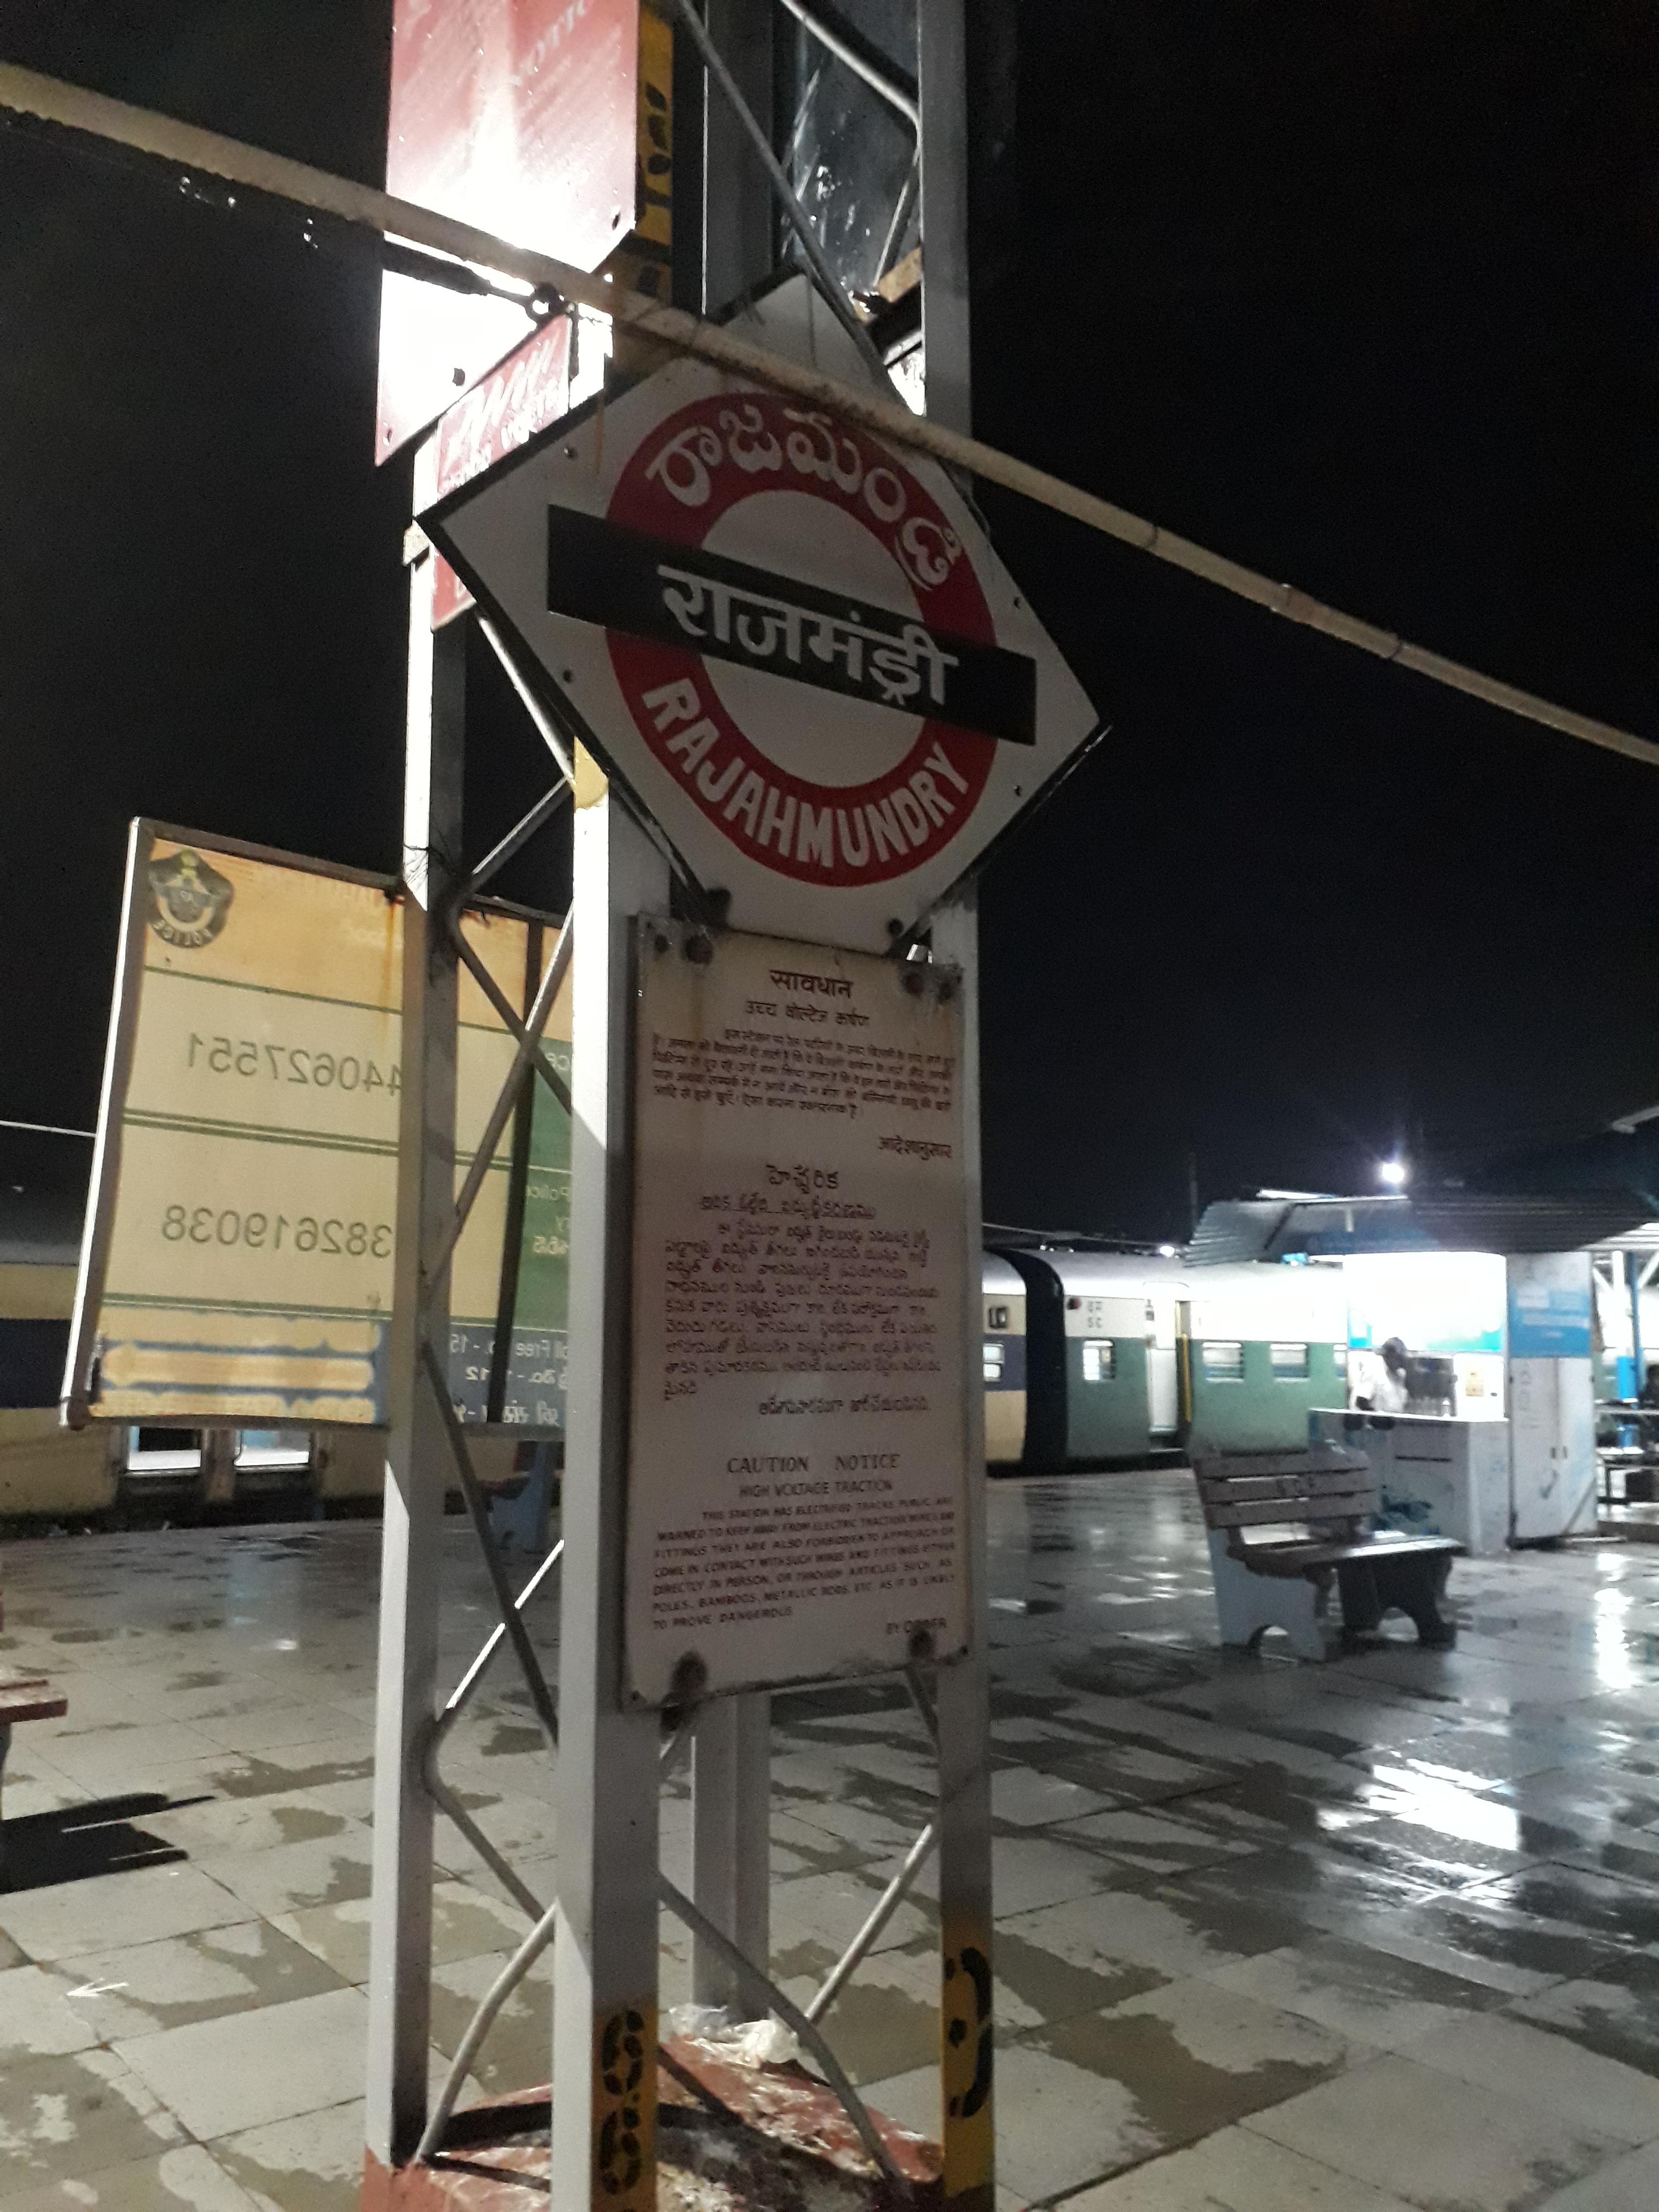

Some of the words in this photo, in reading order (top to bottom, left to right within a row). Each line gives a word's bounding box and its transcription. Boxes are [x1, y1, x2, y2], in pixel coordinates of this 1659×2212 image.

[637, 395, 974, 606] రాజమండ్రి
[646, 556, 967, 713] राजमंड्री
[633, 674, 982, 870] RAJAHMUNDRY
[764, 962, 860, 1004] सावधान
[741, 993, 781, 1023] उच्च
[780, 998, 834, 1027] वोल्टेज
[829, 1003, 879, 1034] कर्षण
[873, 1132, 958, 1164] आदेशानुसार
[760, 1159, 846, 1199] హెచ్చరిక
[723, 1450, 817, 1479] CAUTION
[826, 1450, 907, 1478] NOTICE
[736, 1479, 777, 1505] HIGH
[773, 1478, 837, 1500] VOLTAGE
[832, 1476, 900, 1500] TRACTION